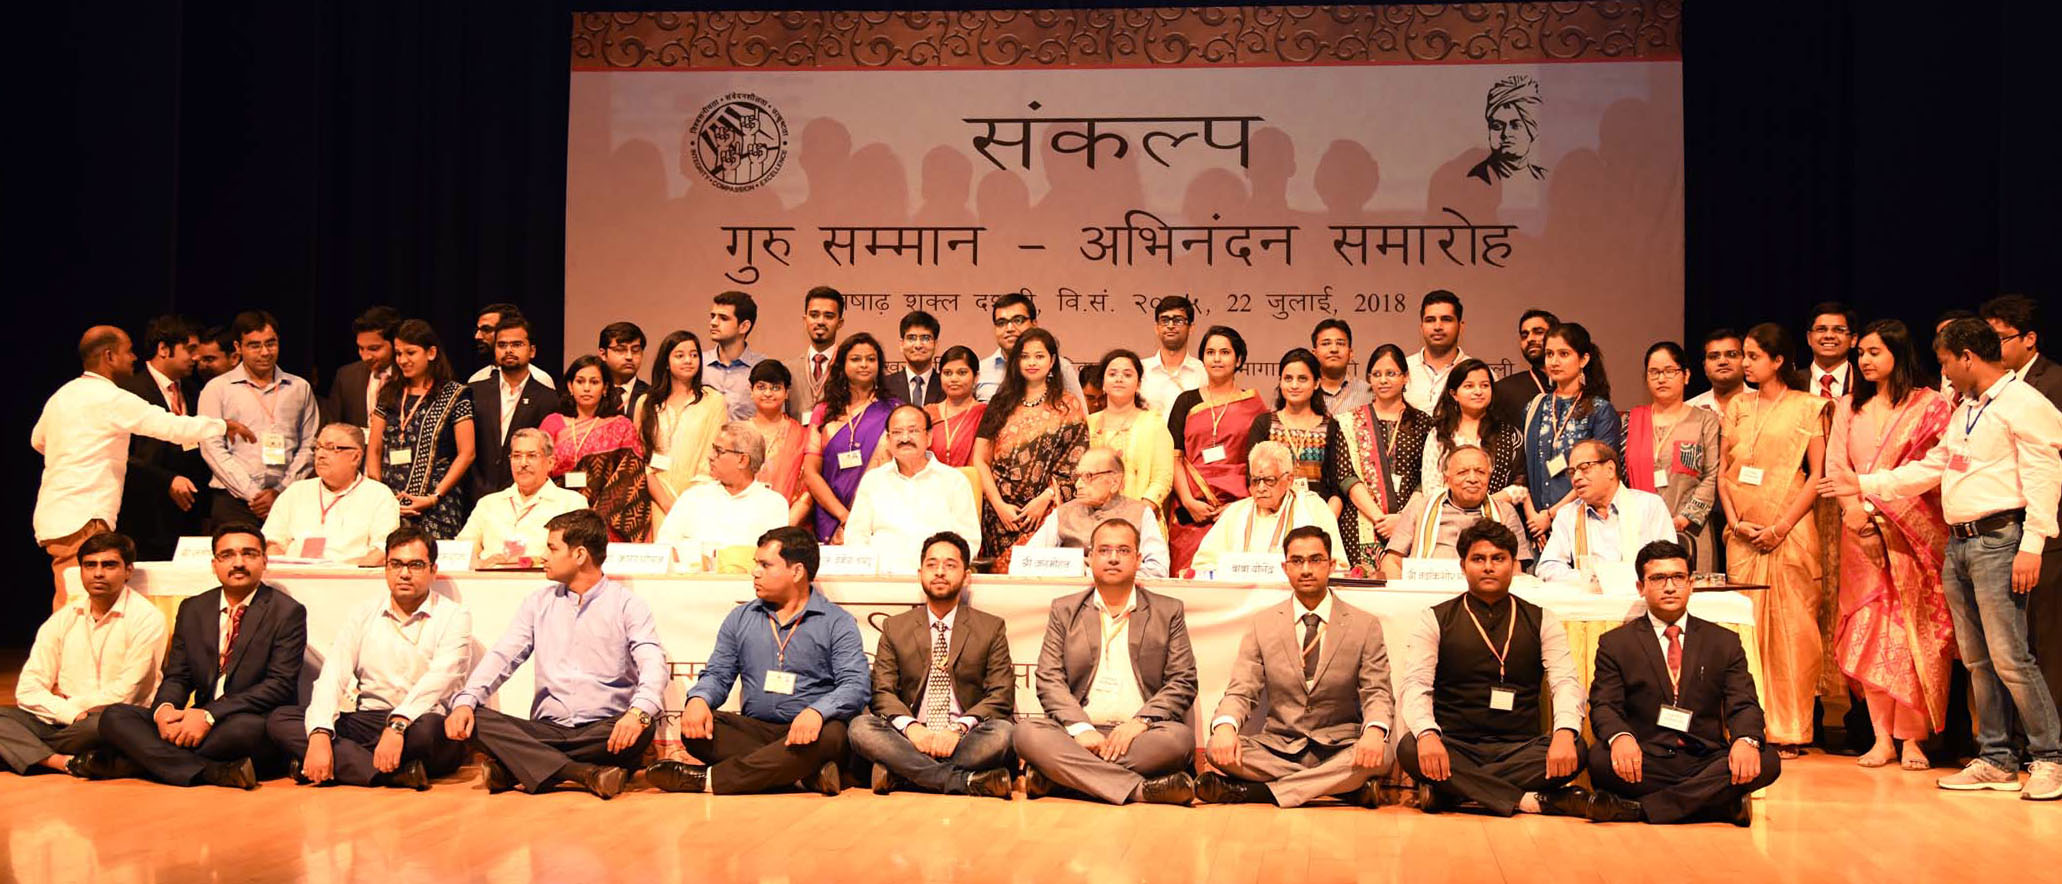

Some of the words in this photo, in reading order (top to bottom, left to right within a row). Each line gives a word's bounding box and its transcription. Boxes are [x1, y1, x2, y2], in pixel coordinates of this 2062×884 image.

[960, 93, 1270, 177] संकल्प
[719, 223, 797, 291] गुरु
[817, 219, 991, 269] सम्मान
[1074, 199, 1303, 274] अभिनंदन
[1328, 203, 1524, 277] समारोह
[841, 287, 894, 318] षाढ़
[901, 289, 961, 315] शक्ल
[1050, 283, 1113, 321] वि.सं
[1264, 285, 1336, 324] जुलाई
[1352, 288, 1410, 317] 2018